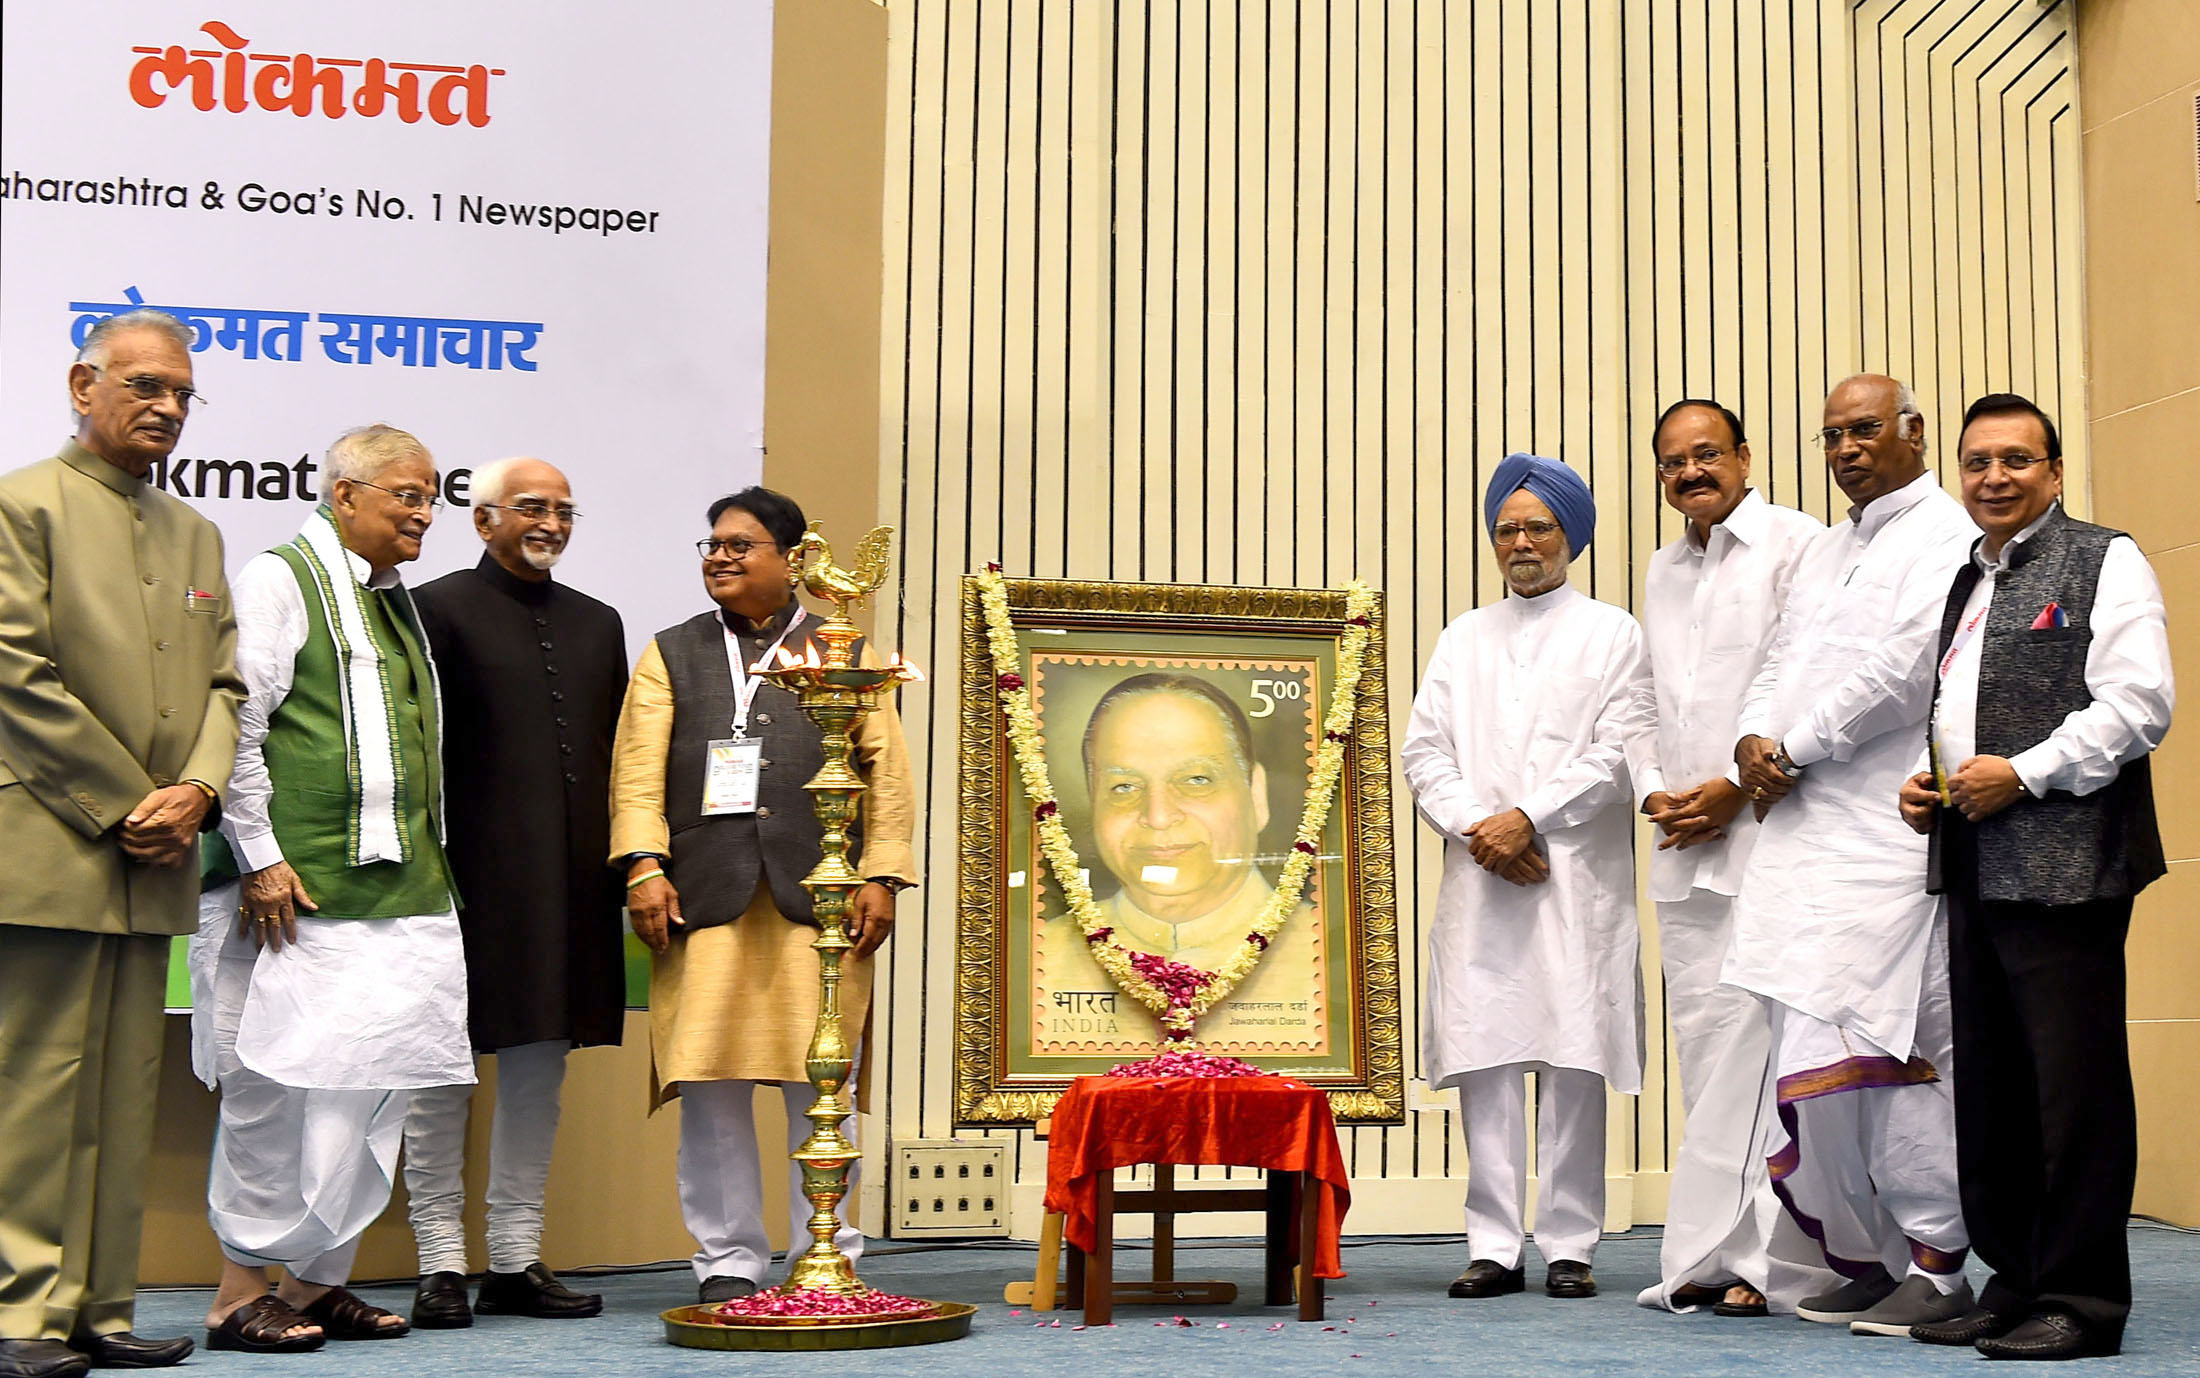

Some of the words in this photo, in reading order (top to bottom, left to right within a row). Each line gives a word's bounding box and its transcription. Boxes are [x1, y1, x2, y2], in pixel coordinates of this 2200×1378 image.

[125, 9, 515, 132] लोकमत
[0, 167, 192, 217] harashtra
[197, 176, 229, 212] &
[236, 175, 347, 220] Goa
[350, 185, 419, 231] No.
[453, 191, 661, 244] Newspaper
[70, 285, 313, 370] मत
[314, 309, 545, 377] समाचार
[153, 453, 327, 508] kmat
[1048, 985, 1121, 1019] भारत
[1048, 1015, 1122, 1037] INDIA
[1219, 1015, 1282, 1031] Janwarlal
[1224, 996, 1289, 1015] जवाहरलाल
[1271, 1015, 1311, 1030] Darda
[1285, 996, 1311, 1015] दर्डा